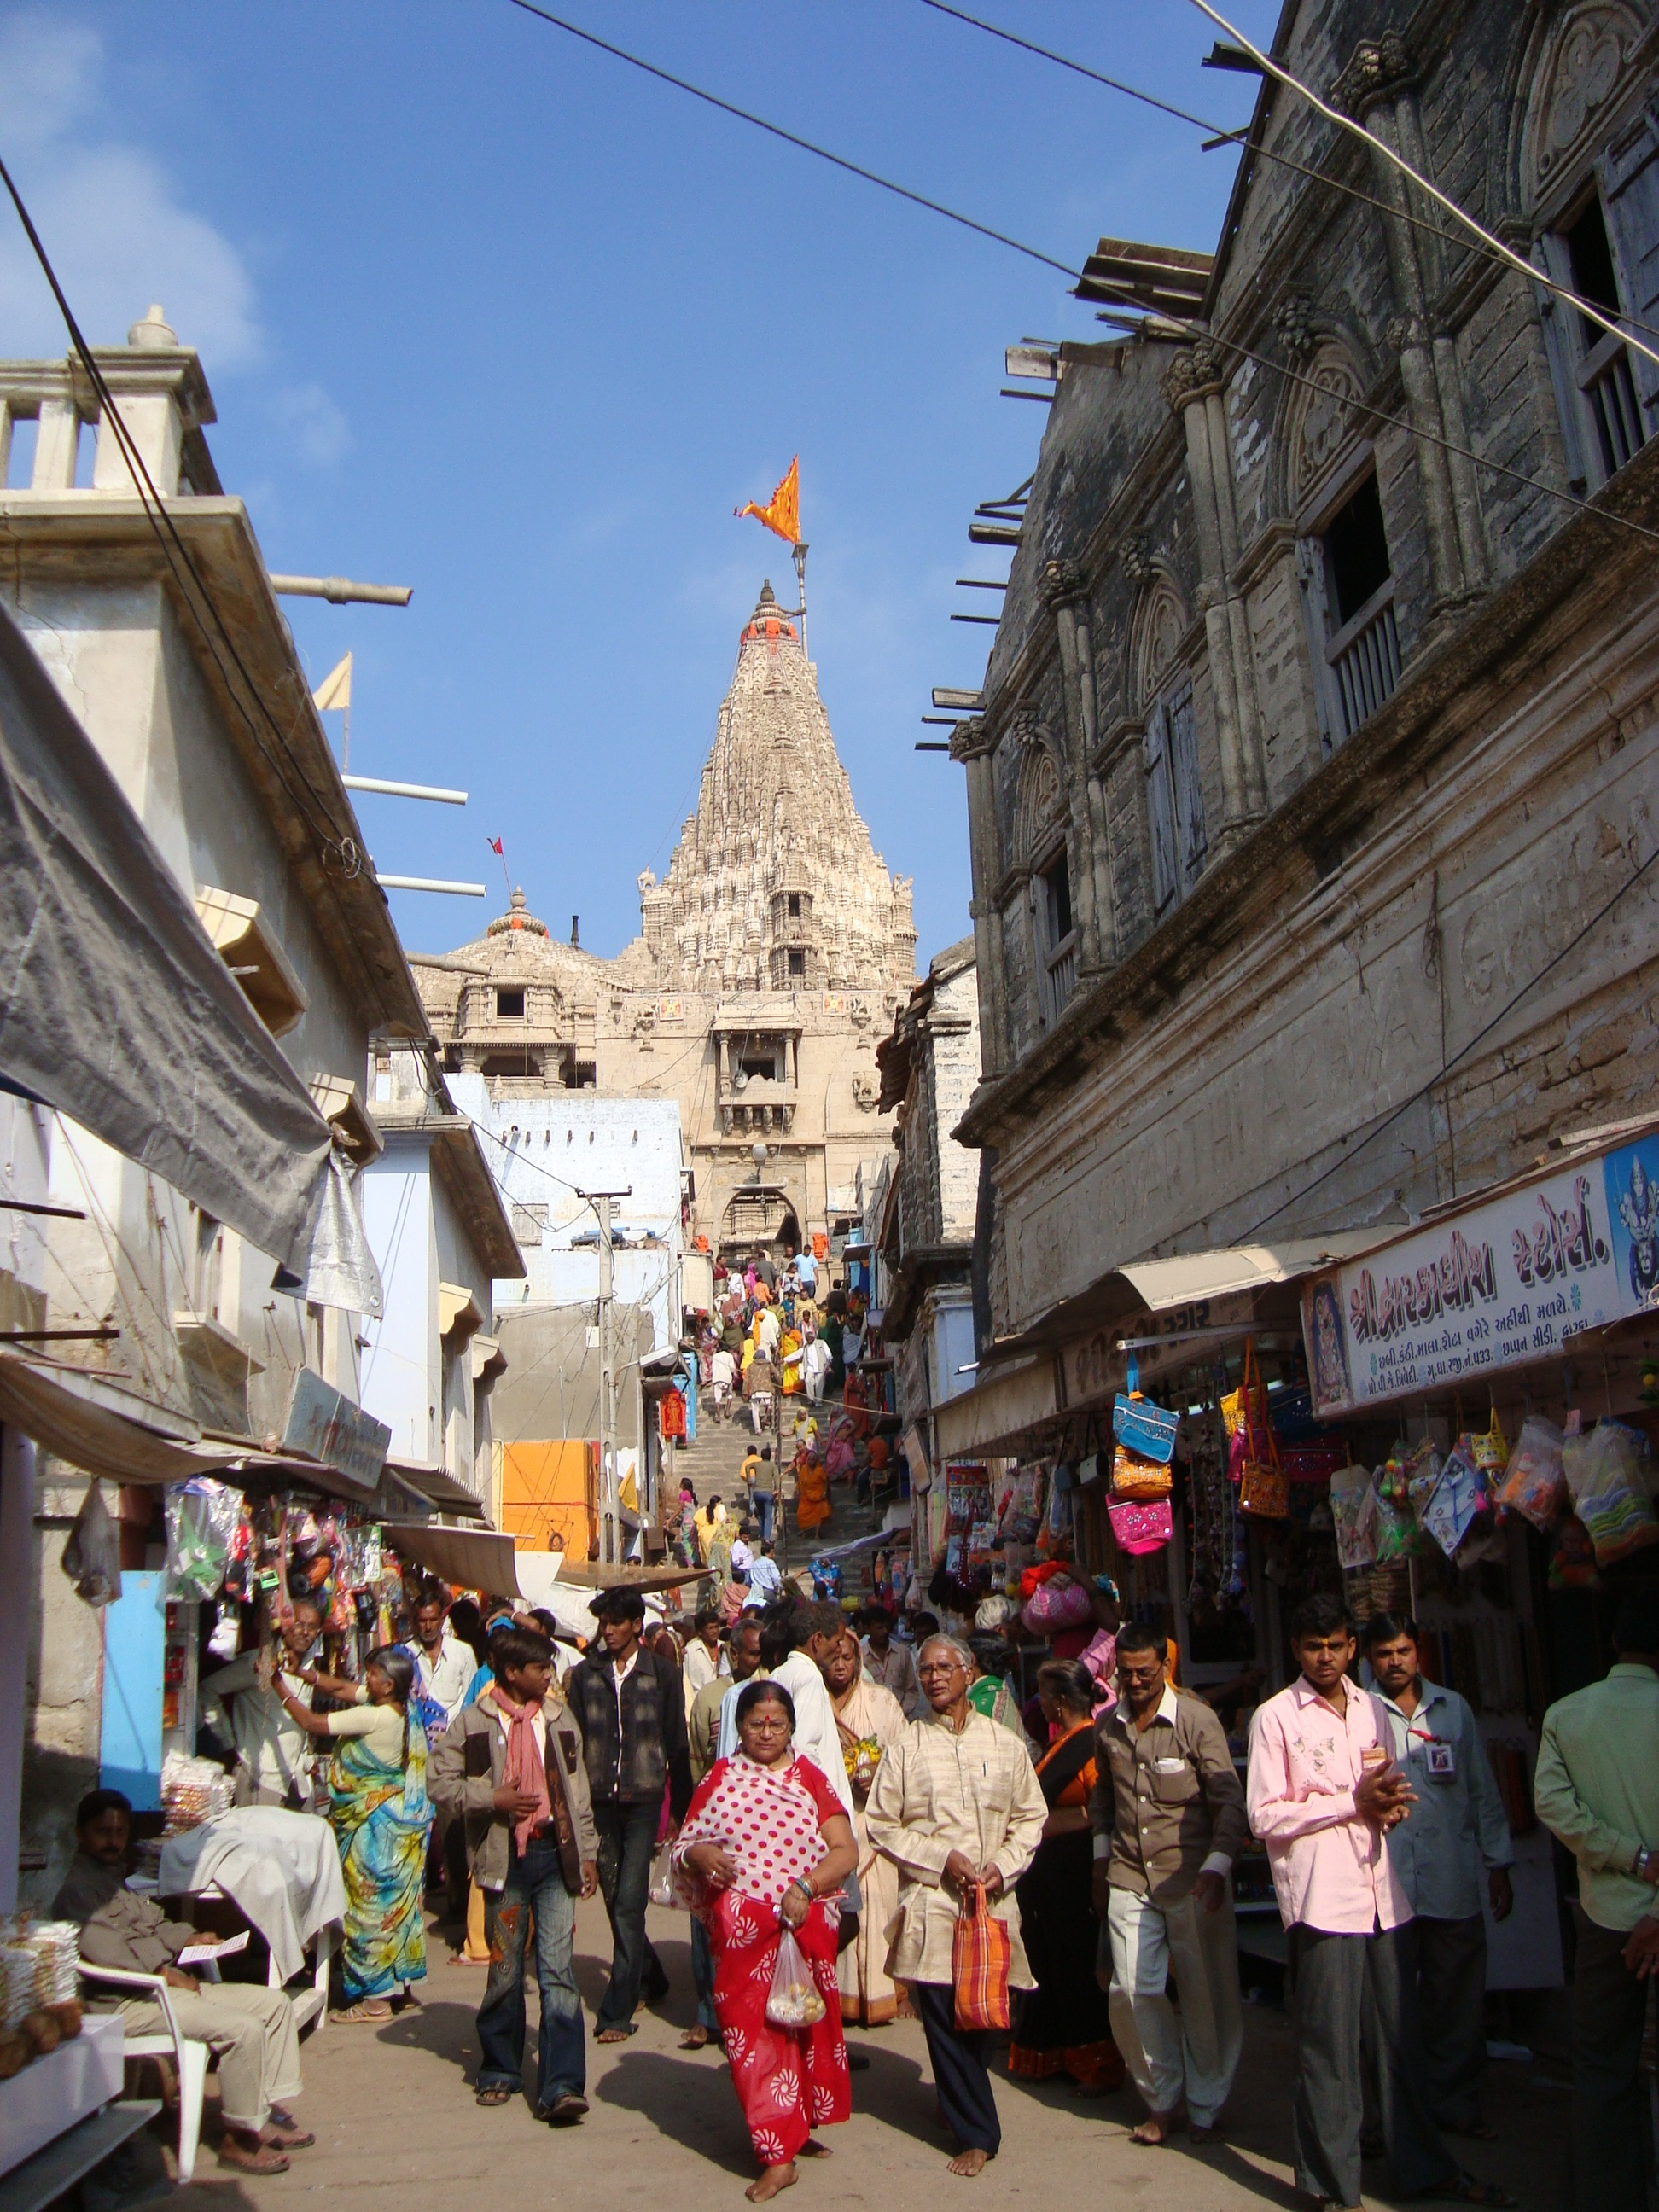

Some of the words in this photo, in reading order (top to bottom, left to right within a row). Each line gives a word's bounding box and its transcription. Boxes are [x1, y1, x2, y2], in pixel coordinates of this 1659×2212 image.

[1342, 1263, 1377, 1347] શ્રી
[1376, 1225, 1505, 1342] દ્વારકાધીશ
[1499, 1167, 1613, 1291] સ્ટોર્સ